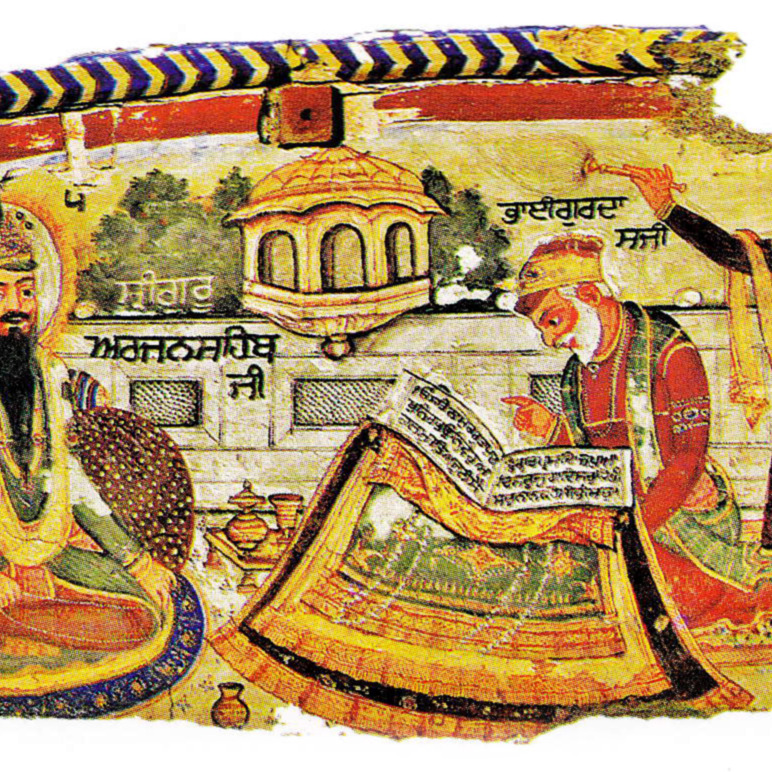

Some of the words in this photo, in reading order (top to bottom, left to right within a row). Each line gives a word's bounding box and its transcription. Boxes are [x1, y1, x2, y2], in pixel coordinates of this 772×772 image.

[55, 184, 93, 219] 4
[489, 189, 636, 231] ਭਾਈਗੁਰਦਾ
[610, 215, 673, 253] ਸਜੀ
[109, 267, 220, 321] ਸ੍ਰੀਗੁਰੂ
[75, 323, 292, 374] ਅਰਜਨਸਹਿਬ
[217, 361, 272, 406] ਜੀ